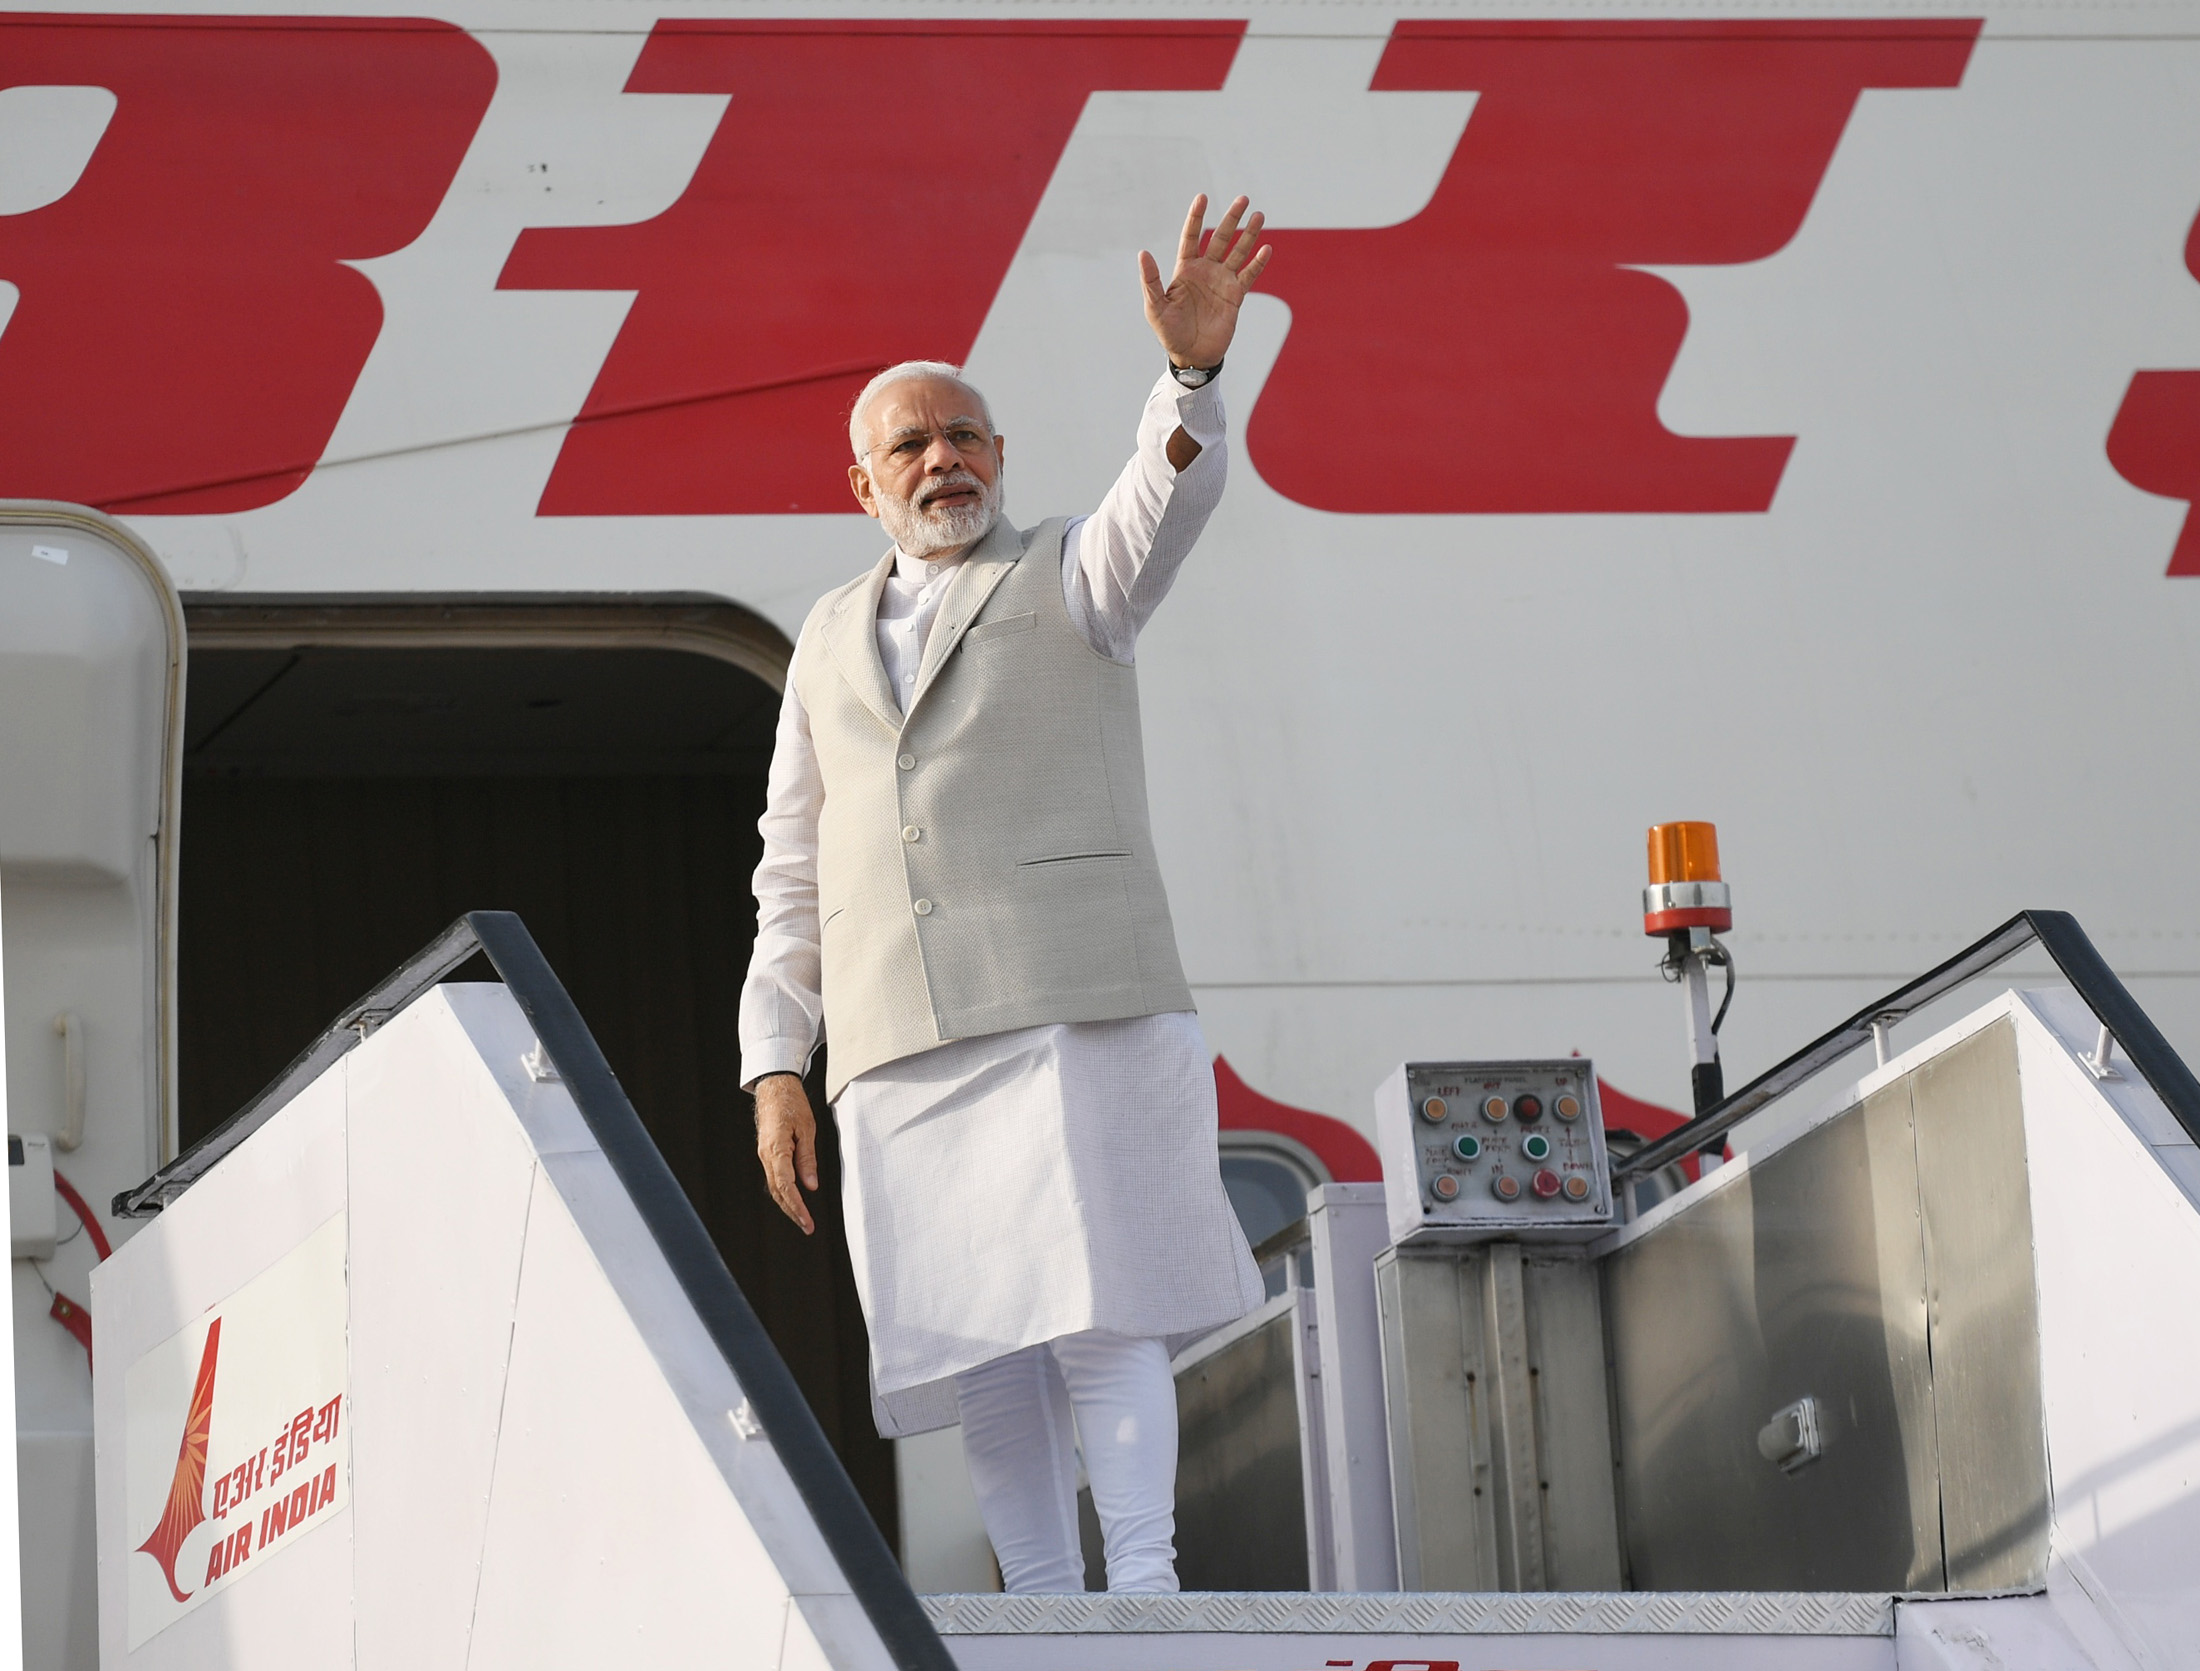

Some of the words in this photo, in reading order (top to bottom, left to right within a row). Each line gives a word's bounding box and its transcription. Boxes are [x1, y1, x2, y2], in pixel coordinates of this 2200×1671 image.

[212, 1443, 268, 1520] एअर
[257, 1460, 339, 1551] INDIA
[267, 1390, 344, 1487] इंडिया
[200, 1519, 252, 1587] AIR